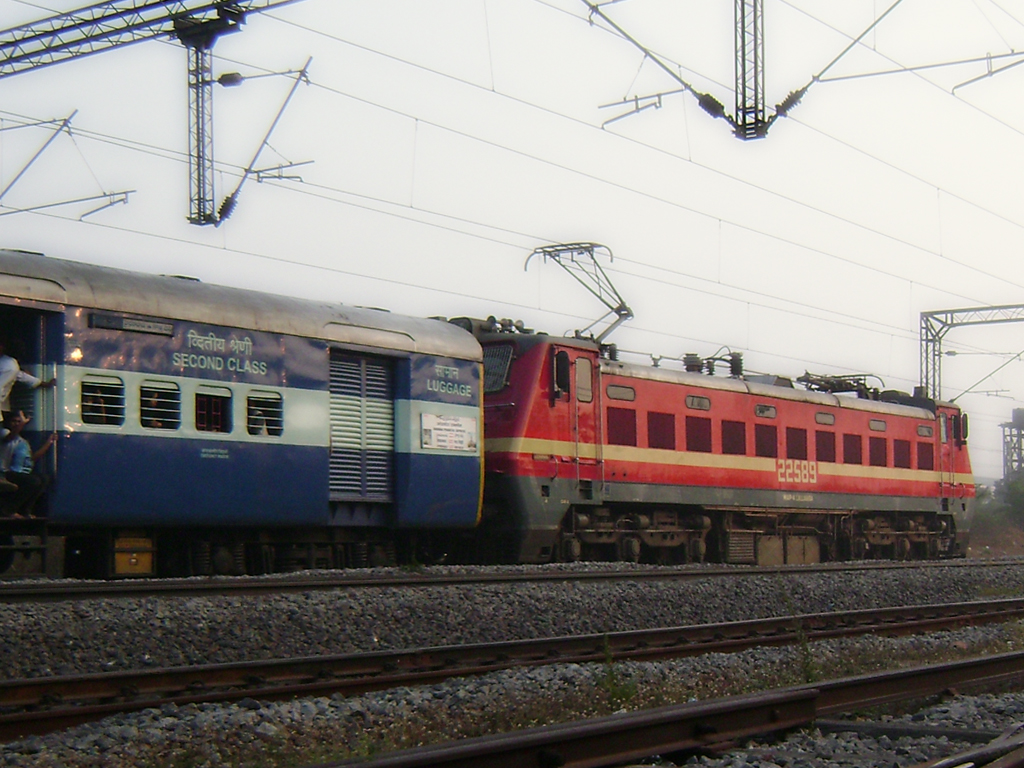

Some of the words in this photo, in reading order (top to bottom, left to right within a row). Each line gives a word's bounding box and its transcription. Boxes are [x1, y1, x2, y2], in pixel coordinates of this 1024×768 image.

[184, 325, 227, 352] व्दितीय
[226, 331, 255, 357] श्रेणी
[170, 349, 226, 371] SECOND
[225, 355, 269, 377] CLASS
[433, 361, 461, 379] सामान
[426, 377, 473, 399] LUGGAGE